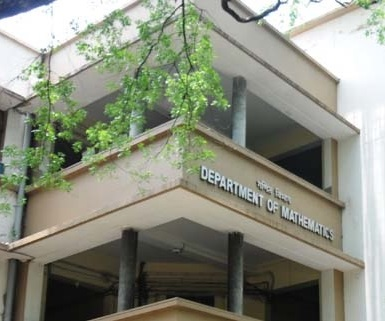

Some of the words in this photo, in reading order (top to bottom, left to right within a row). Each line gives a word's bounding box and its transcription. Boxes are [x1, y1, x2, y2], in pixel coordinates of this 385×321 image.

[197, 163, 266, 209] DEPARTMENT
[252, 175, 275, 197] गणित
[264, 195, 281, 216] OF
[279, 203, 338, 245] MATHEMATICS